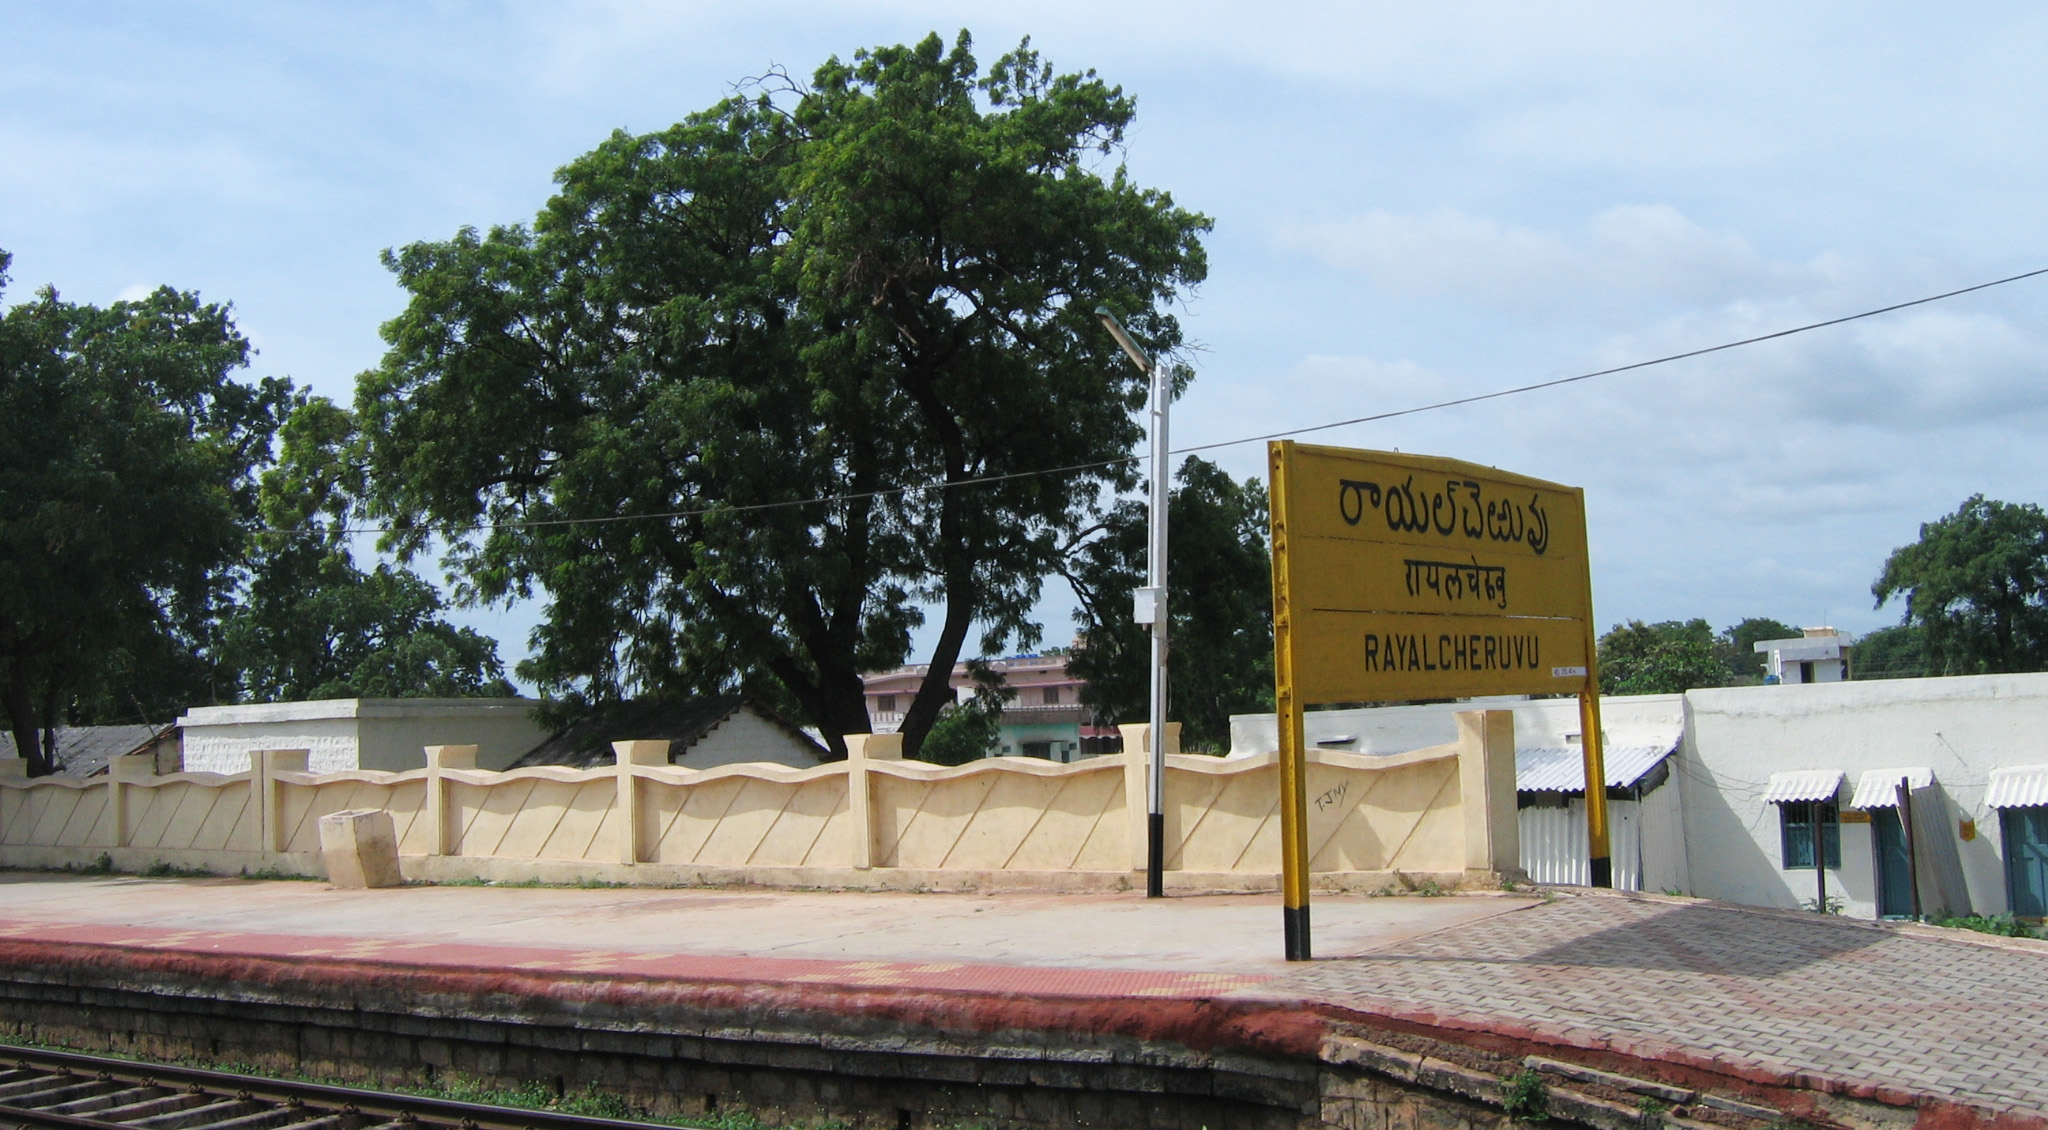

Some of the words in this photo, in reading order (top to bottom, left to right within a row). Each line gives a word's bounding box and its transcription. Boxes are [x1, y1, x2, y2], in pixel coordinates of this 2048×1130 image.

[1329, 465, 1555, 563] రాయల్ చెఱువు
[1401, 545, 1510, 613] रायलचेरूवु
[1361, 630, 1543, 678] RAYALCHERUVU